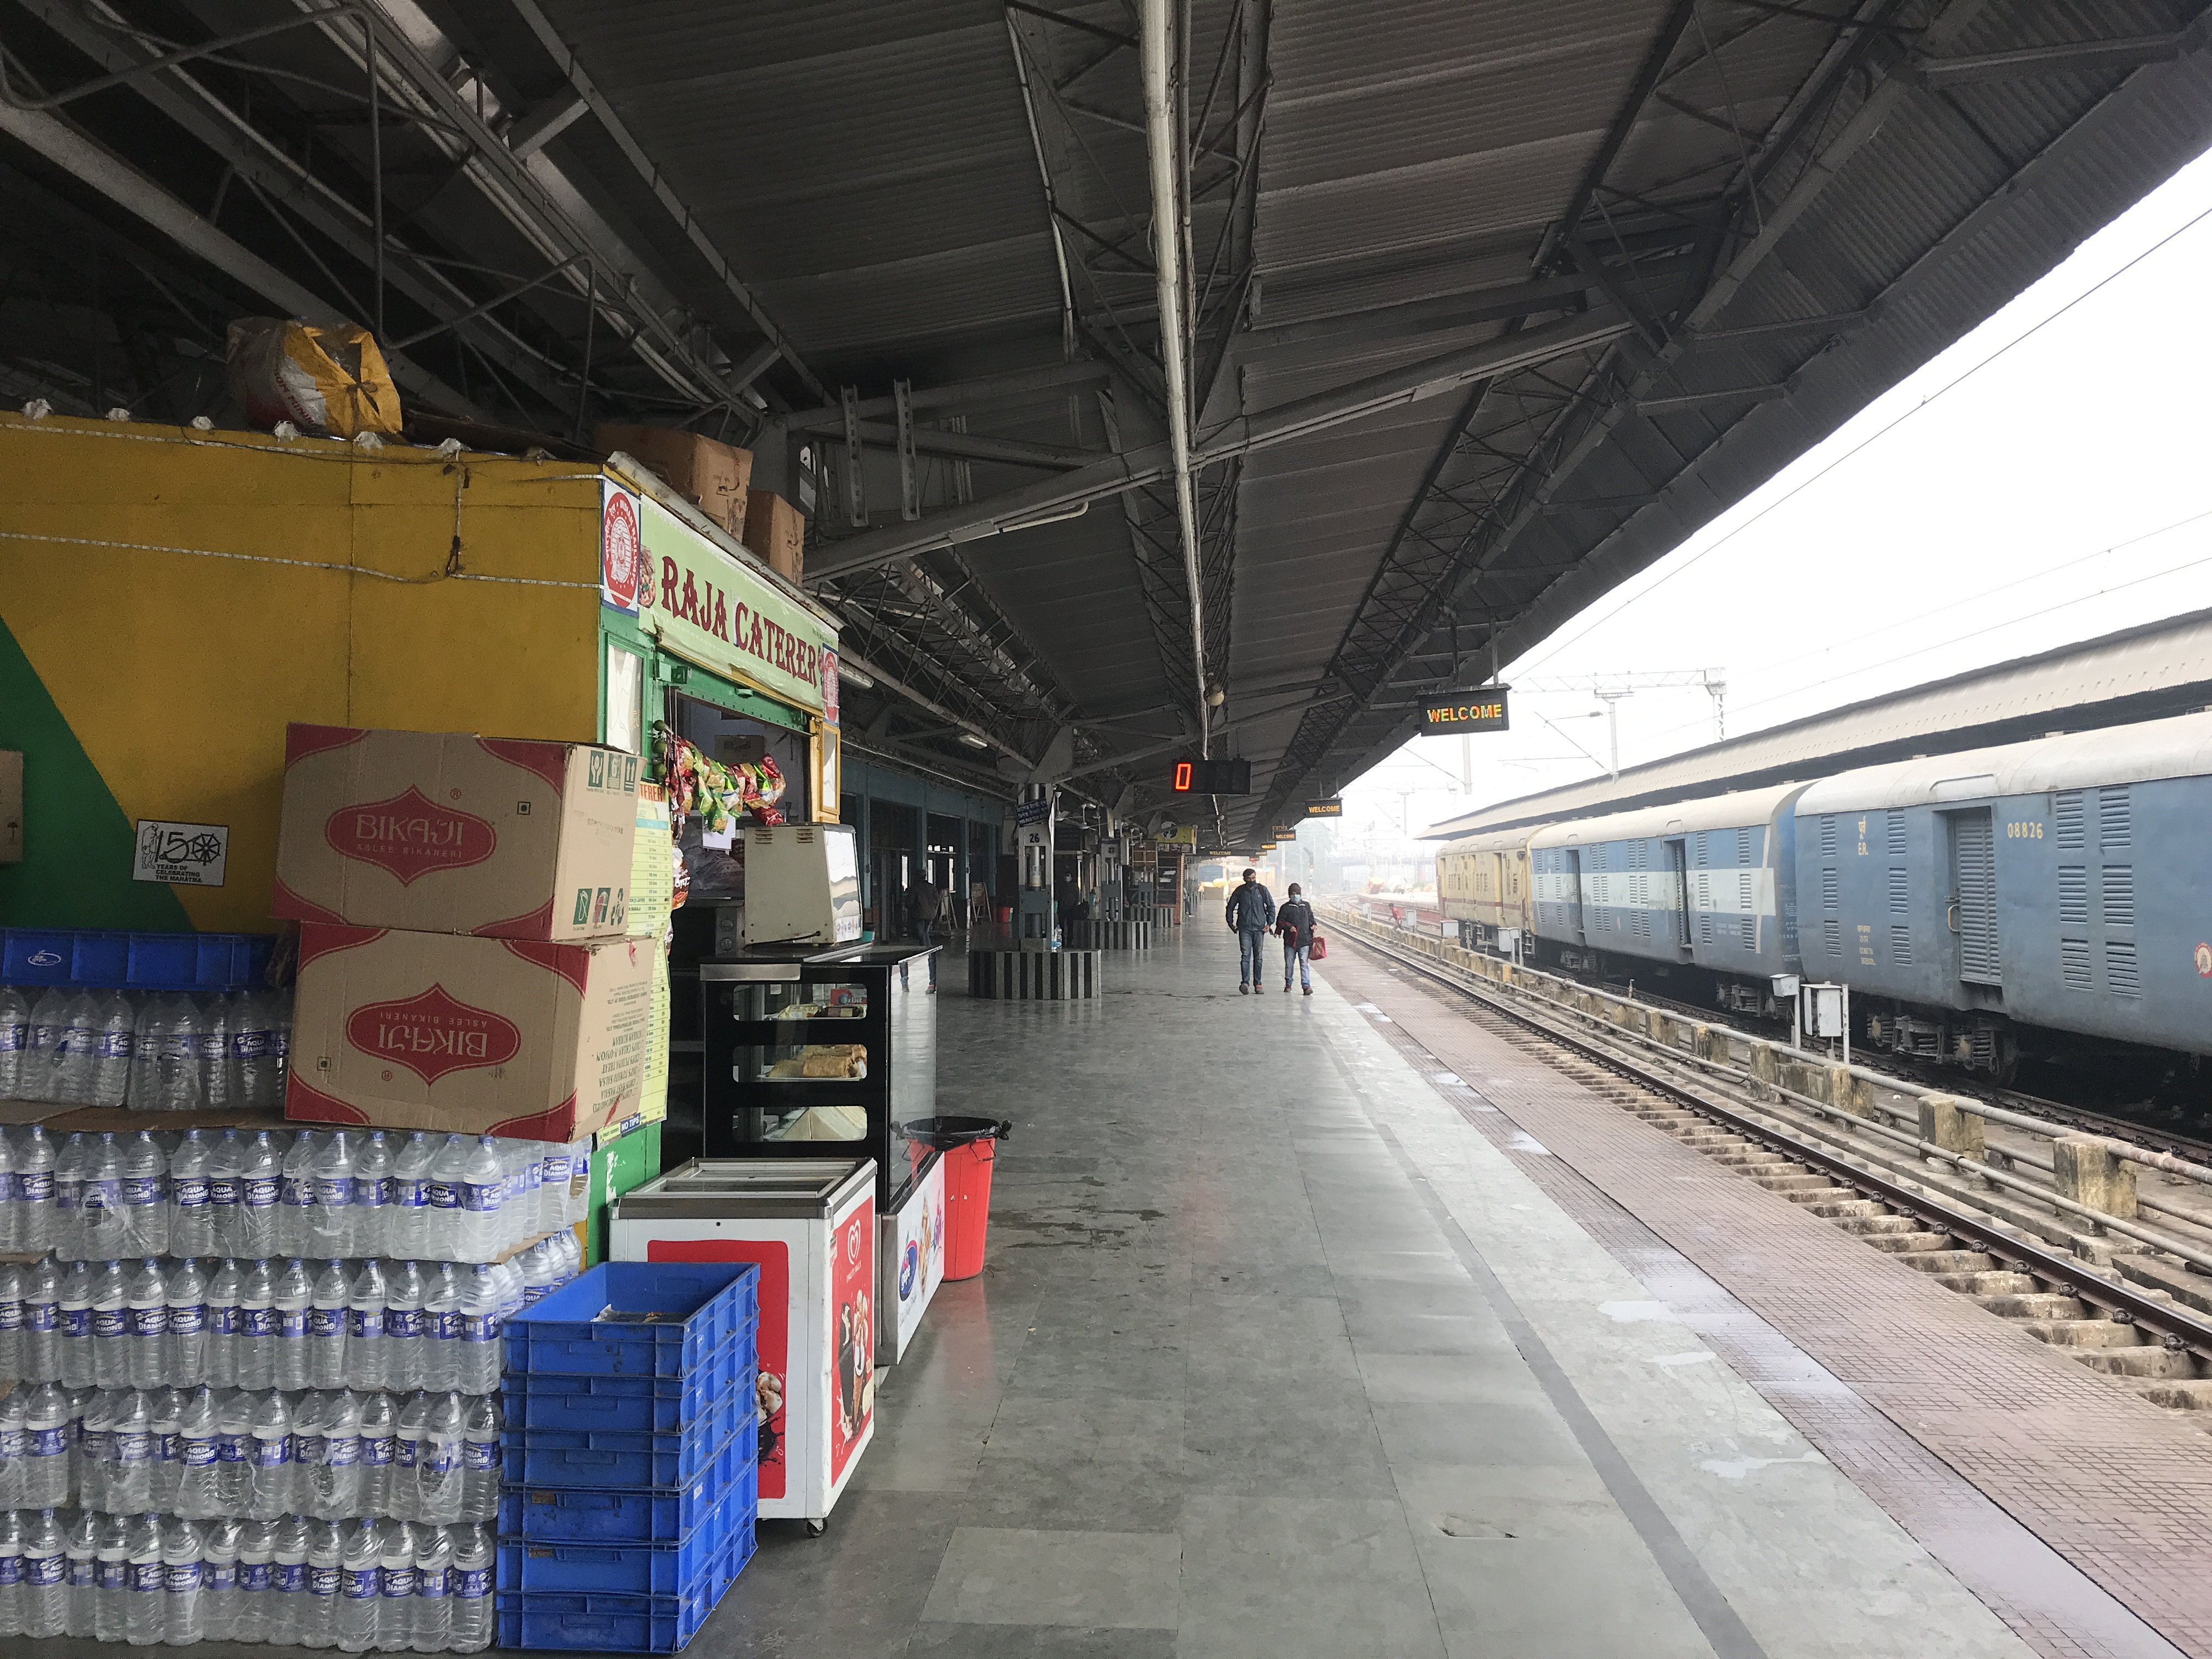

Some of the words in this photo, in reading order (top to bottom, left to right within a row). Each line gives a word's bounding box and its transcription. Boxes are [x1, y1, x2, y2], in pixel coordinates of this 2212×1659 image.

[649, 552, 736, 642] RAJA
[727, 599, 824, 691] CATERER
[1424, 701, 1503, 726] WELCOME
[350, 807, 471, 854] BIKAJI
[1307, 802, 1343, 816] WELCOME
[368, 1014, 488, 1062] BIKAJI ASLEE BIKANER